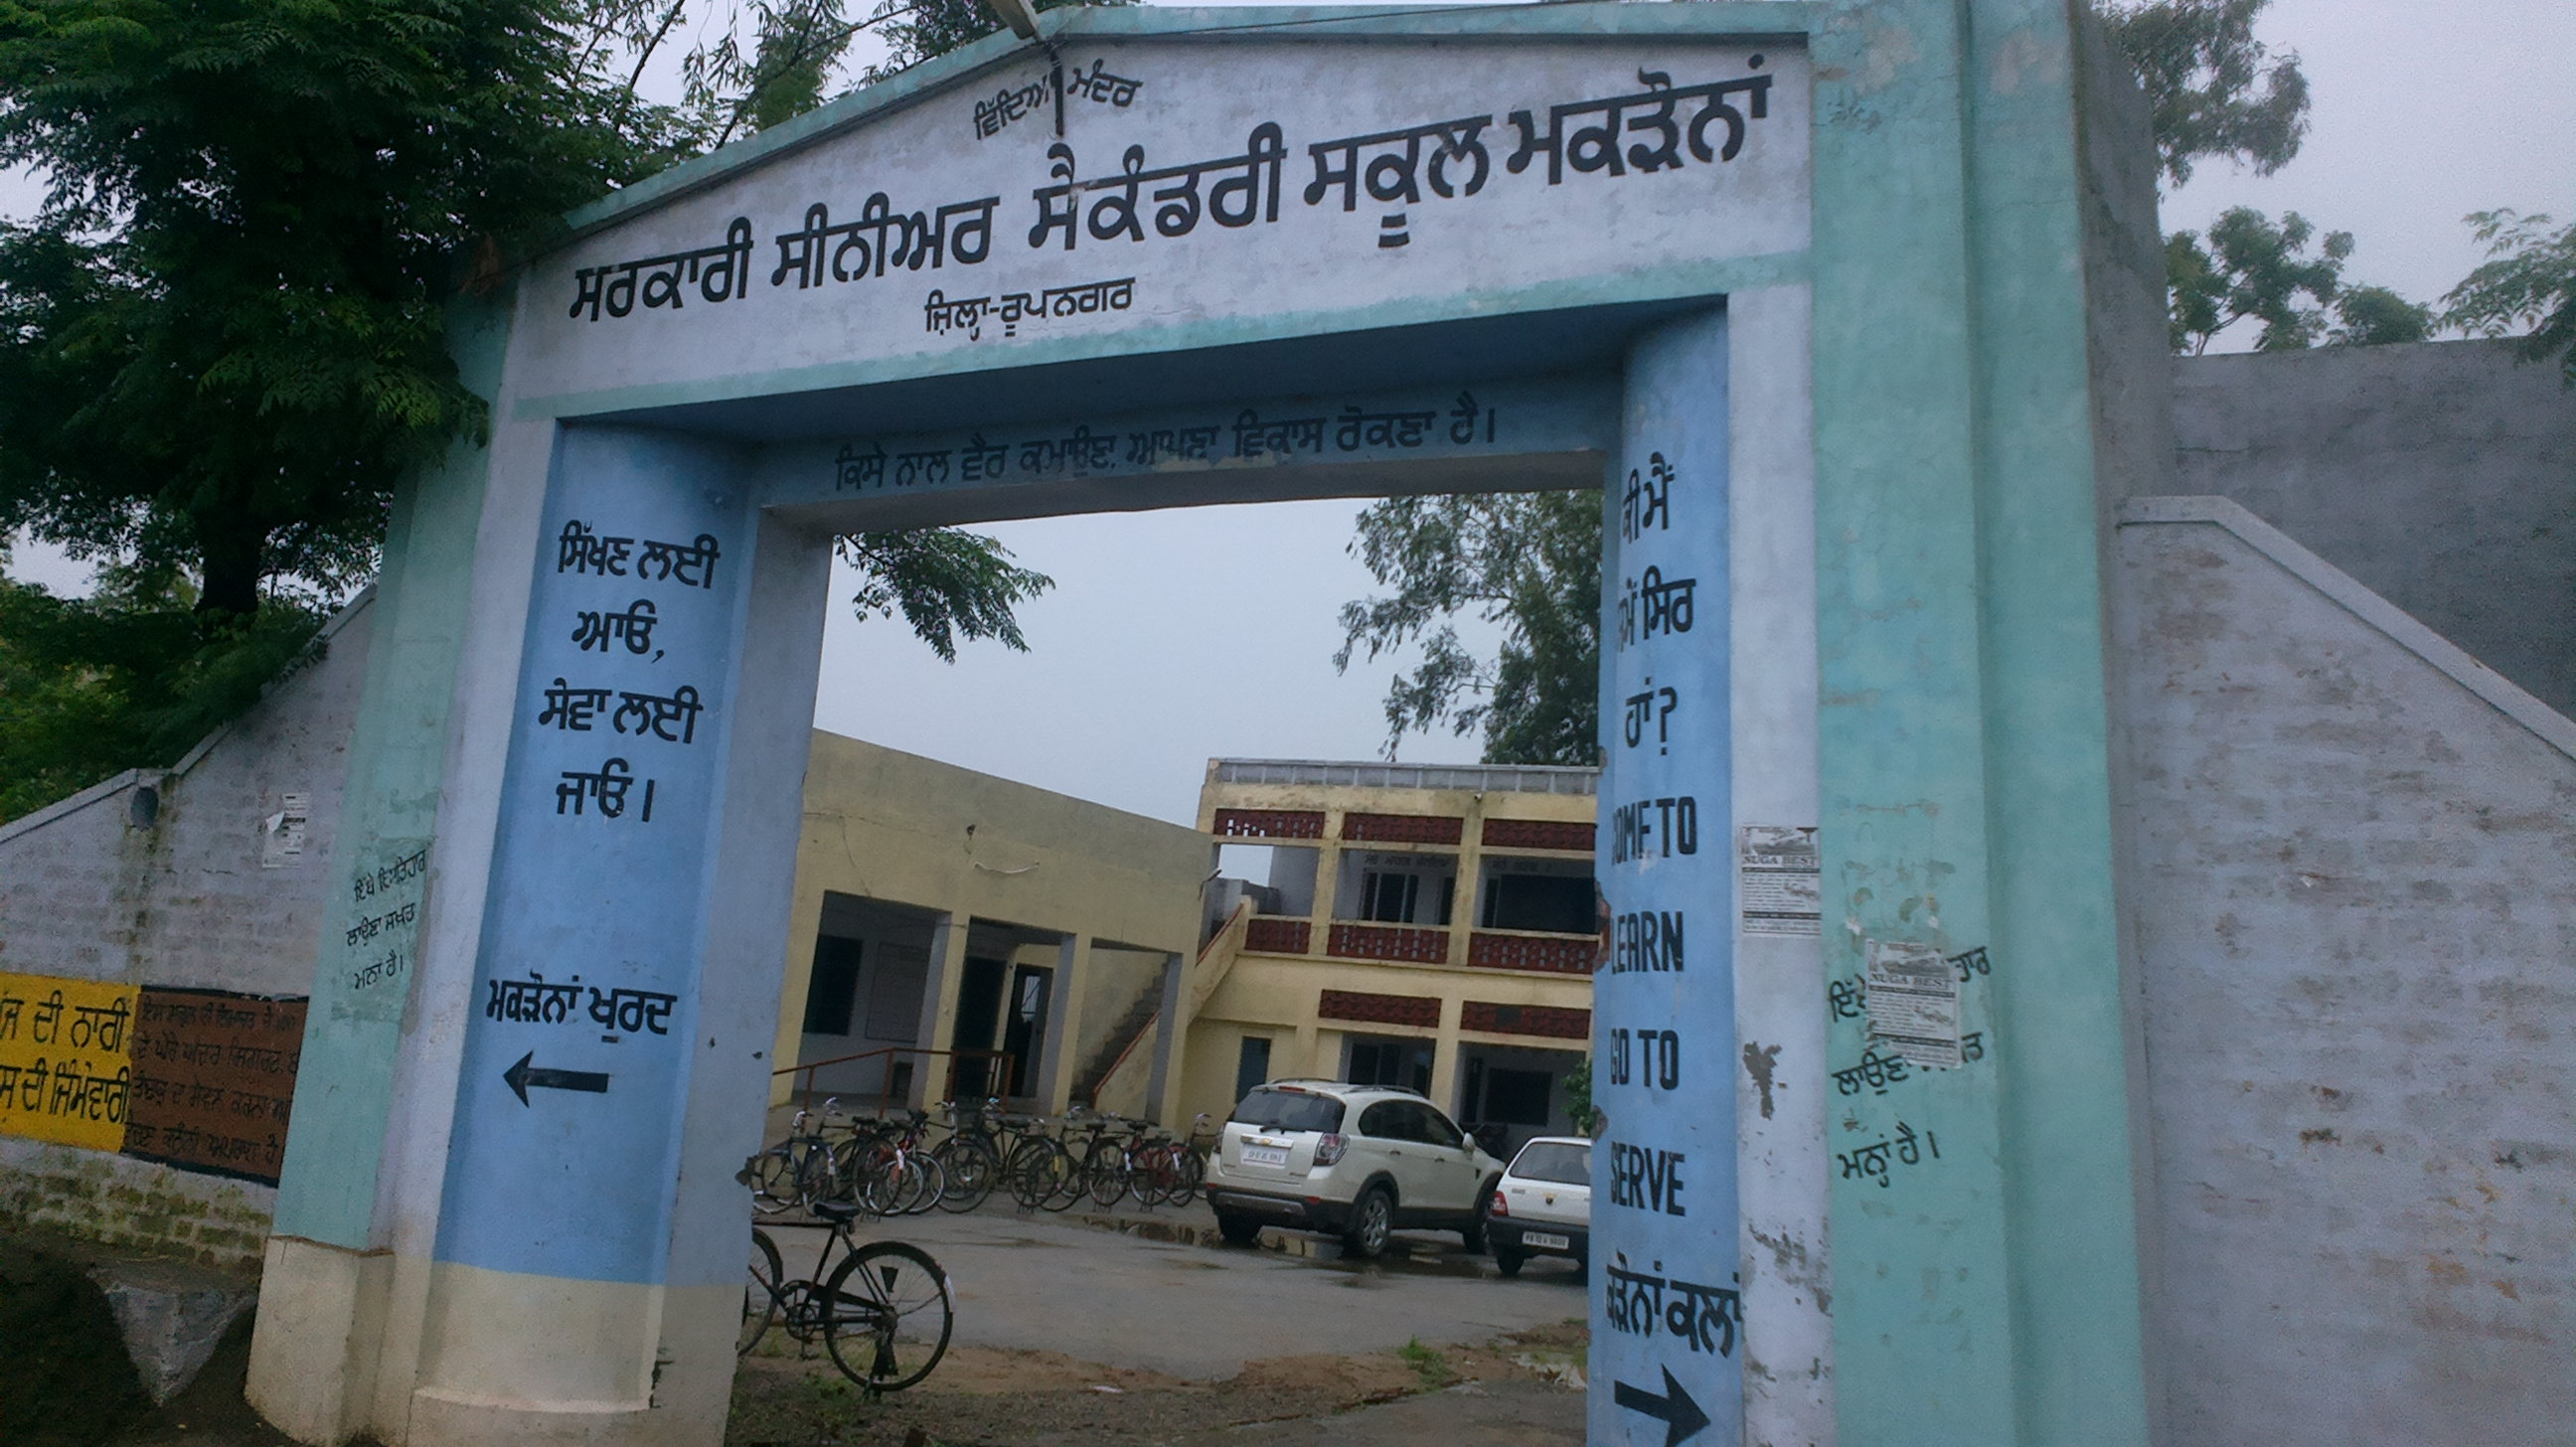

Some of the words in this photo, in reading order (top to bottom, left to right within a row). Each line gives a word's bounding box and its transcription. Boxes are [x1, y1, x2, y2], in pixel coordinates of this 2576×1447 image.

[966, 65, 1054, 148] ਵਿੱਦਿਆ
[1063, 55, 1148, 114] ਮੰਦਰ
[1504, 49, 1780, 198] ਮਕੜੌਨਾਂ
[1024, 115, 1299, 260] ਸੈਕੰਡਰੀ
[1297, 99, 1500, 255] ਸਕੂਲ
[559, 210, 762, 331] ਸਰਕਾਰੀ
[760, 184, 1011, 295] ਸੀਨੀਅਰ
[915, 271, 1143, 345] ਜਿਲ੍ਹਾ-ਰੂਪਨਗਰ
[826, 435, 892, 498] ਕਿਸੇ
[890, 445, 957, 491] ਨਾਲ
[955, 426, 1013, 486] ਵੈਰ
[1015, 418, 1122, 483] ਕਮਾਉਣਾ
[1124, 418, 1226, 470] ਆਪਣਾ
[1228, 404, 1331, 462] ਵਿਕਾਸ
[1330, 400, 1441, 460] ਰੋਕਣਾ
[1445, 387, 1484, 454] ਹੈ
[1610, 458, 1644, 551] ਕੀ
[1640, 438, 1682, 543] ਮੈਂ
[551, 509, 642, 589] ਸਿੱਖਣ
[633, 527, 731, 600] ਲਈ
[564, 593, 663, 665] ਆੳ
[1637, 554, 1702, 651] ਸਿਰ
[531, 670, 619, 742] ਸੇਵਾ
[606, 677, 711, 758] ਲਈ
[1618, 667, 1662, 767] ਹਾਂ
[549, 752, 642, 833] ਜਾਓ
[1601, 790, 1656, 872] COME
[1652, 788, 1705, 862] TO
[15, 1053, 52, 1117] ਦੀ
[28, 982, 72, 1052] ਦੀ
[43, 1051, 131, 1133] ਜਿੰਮੇਵਾਰੀ
[66, 989, 133, 1059] ਨਾਈ
[349, 956, 384, 995] ਮਨਾ
[384, 945, 400, 983] ਰੈ
[476, 951, 585, 1033] ਮਕੜੌਨਾਂ
[582, 973, 690, 1057] ਖੁਰਦ
[1602, 1017, 1634, 1094] GO
[1605, 899, 1692, 985] LEARN
[1630, 1017, 1687, 1096] TO
[1826, 1045, 1915, 1108] ਲਾਉਣ
[1601, 1134, 1696, 1222] SERVE
[1830, 1124, 1895, 1200] ਮਨ੍ਹਾਂ
[1885, 1111, 1927, 1172] ਹੈ
[1590, 1243, 1668, 1344] ਕੜੇਨਾਂ
[1660, 1265, 1748, 1367] ਕਲਾ